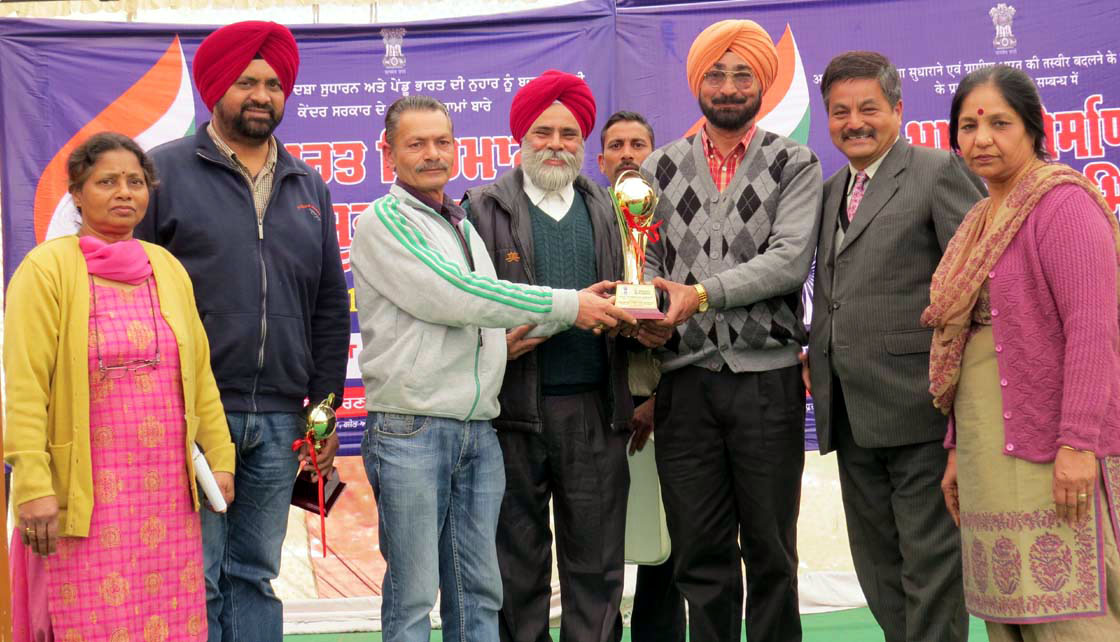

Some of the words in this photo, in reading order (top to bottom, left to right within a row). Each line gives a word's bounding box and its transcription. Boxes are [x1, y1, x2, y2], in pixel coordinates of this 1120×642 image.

[290, 79, 317, 100] ਦਬਾ
[317, 79, 360, 101] ਸੁਧਾਰਨ
[361, 75, 388, 97] ਅਤੇ
[387, 74, 413, 97] ਪੇਂਡੂ
[413, 76, 449, 93] ਭਾਰਤ
[448, 71, 468, 94] ਦੀ
[467, 72, 503, 95] ਨੁਹਾਰ
[502, 67, 517, 95] ਨੂੰ
[905, 58, 946, 85] सुधाराने
[930, 79, 948, 98] के
[944, 54, 965, 79] एवं
[1023, 50, 1041, 72] की
[1034, 71, 1070, 91] सम्बन्ध
[1041, 50, 1073, 70] तस्वीर
[1069, 69, 1082, 88] में
[1071, 47, 1105, 70] बदलने
[1105, 48, 1119, 67] के
[293, 101, 328, 121] ਕੇਂਦਰ
[328, 99, 374, 122] ਸਰਕਾਰ
[373, 96, 390, 119] ਦੇ
[469, 94, 495, 117] ਬਾਰੇ
[1053, 89, 1110, 161] र्मा
[331, 133, 375, 192] ਤ
[459, 129, 515, 186] ਮਾ